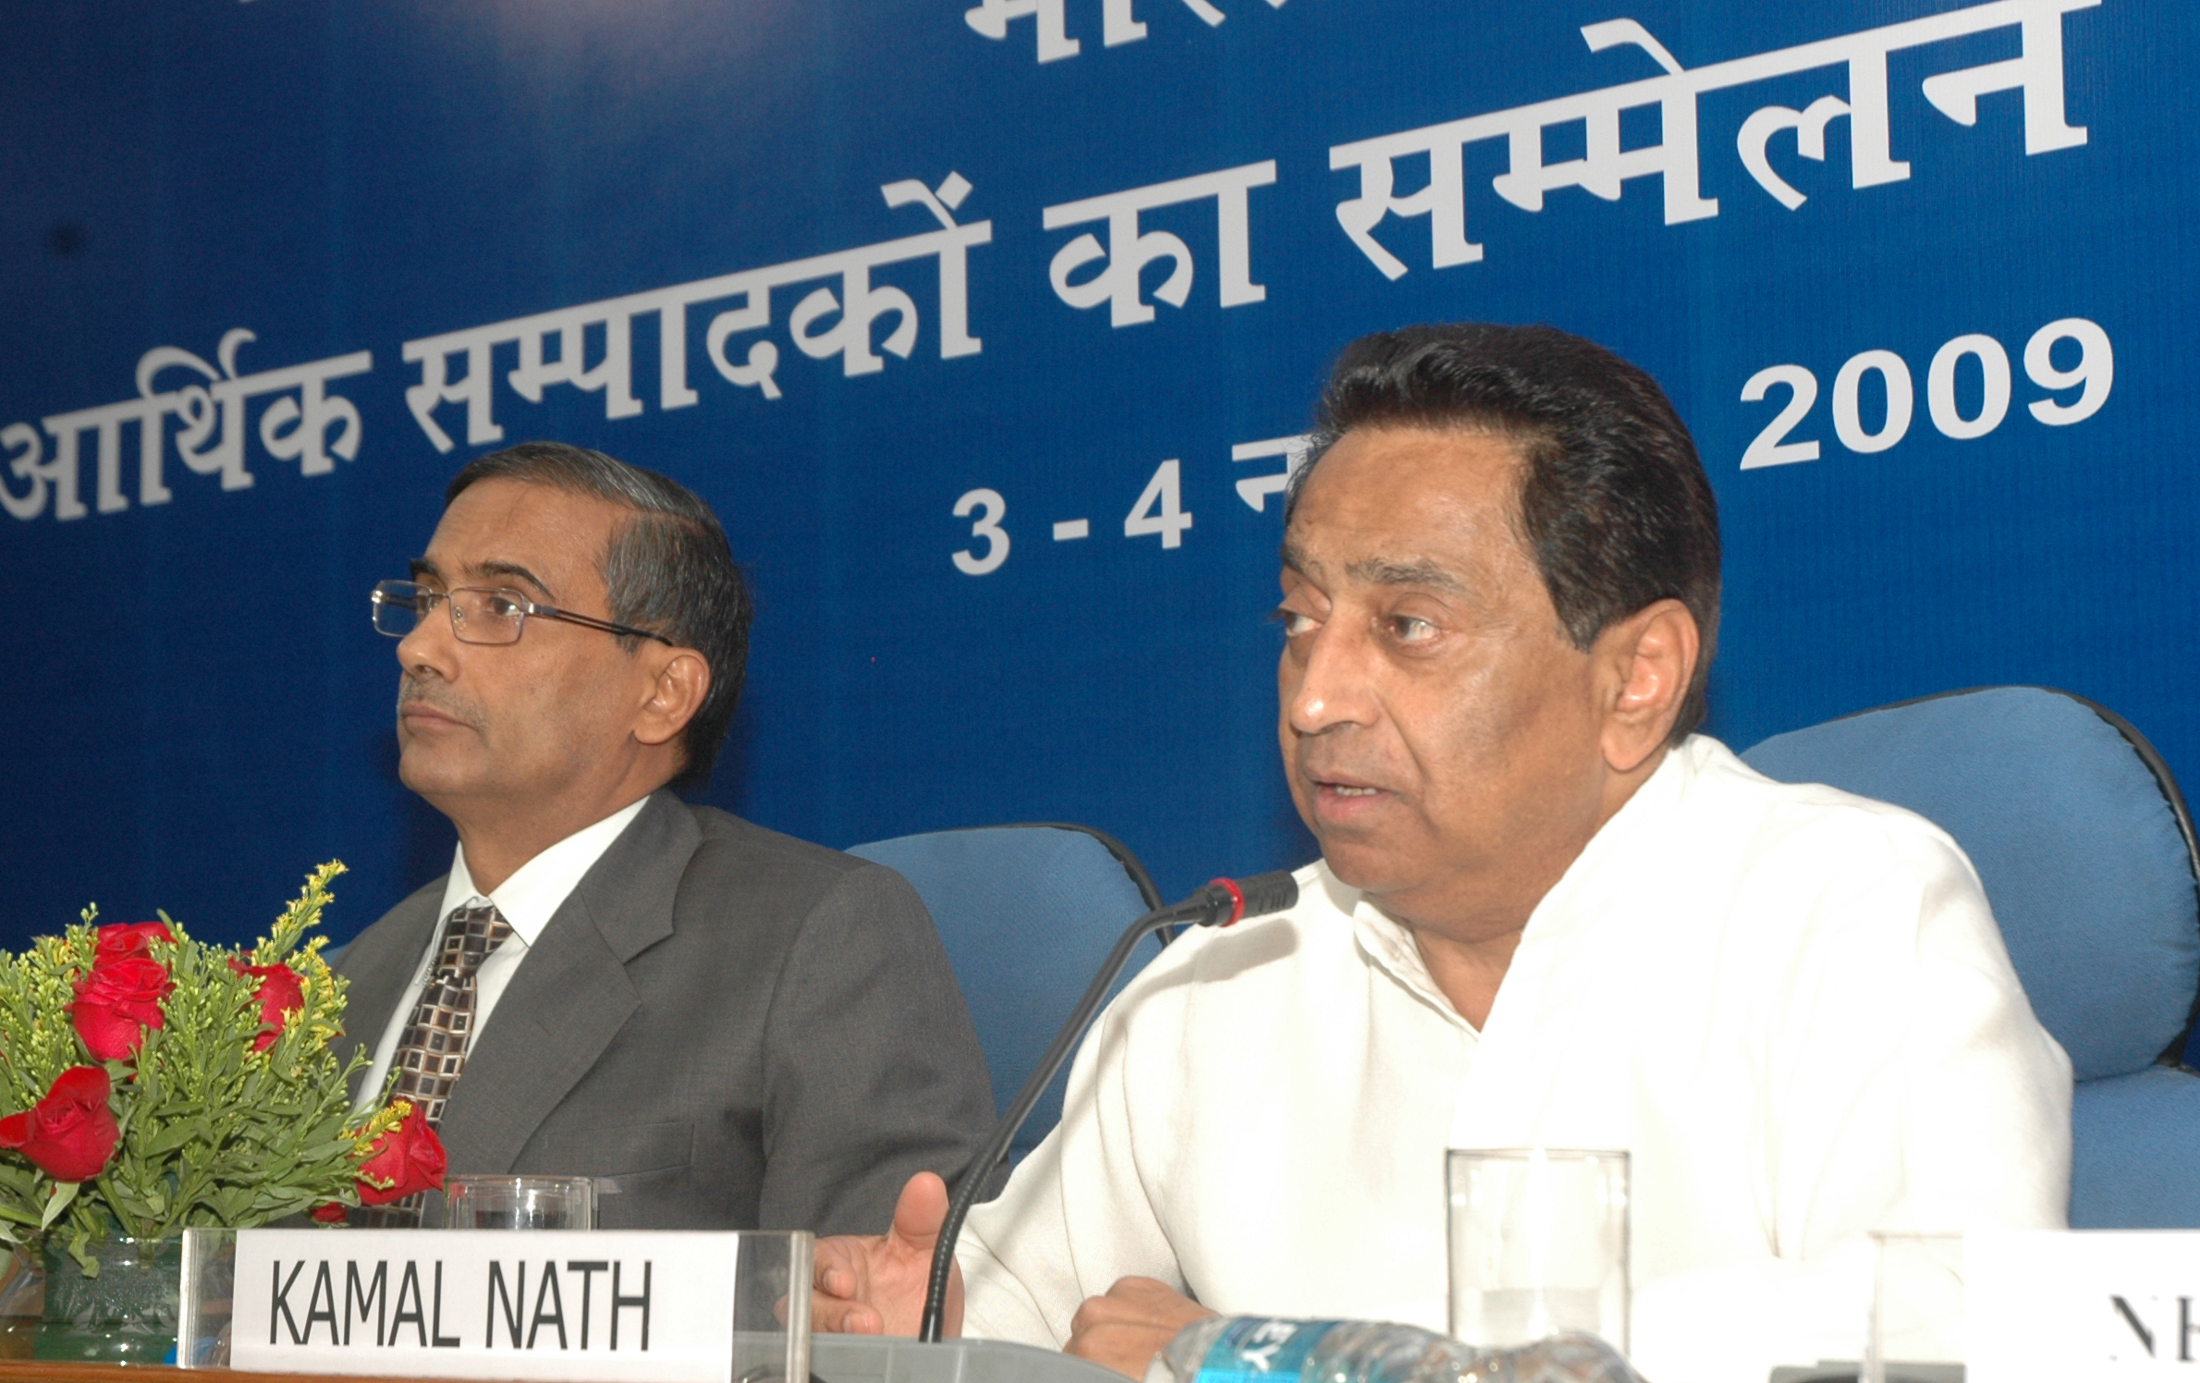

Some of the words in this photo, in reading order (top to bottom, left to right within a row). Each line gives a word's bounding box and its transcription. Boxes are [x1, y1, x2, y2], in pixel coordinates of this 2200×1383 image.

[1320, 3, 2098, 289] सम्मेलन
[0, 313, 378, 538] आर्थिक
[397, 157, 1001, 465] सम्पादकों
[1036, 151, 1290, 338] का
[1734, 308, 2131, 484] 2009
[256, 1250, 461, 1359] KAMAL
[476, 1246, 663, 1362] NATH